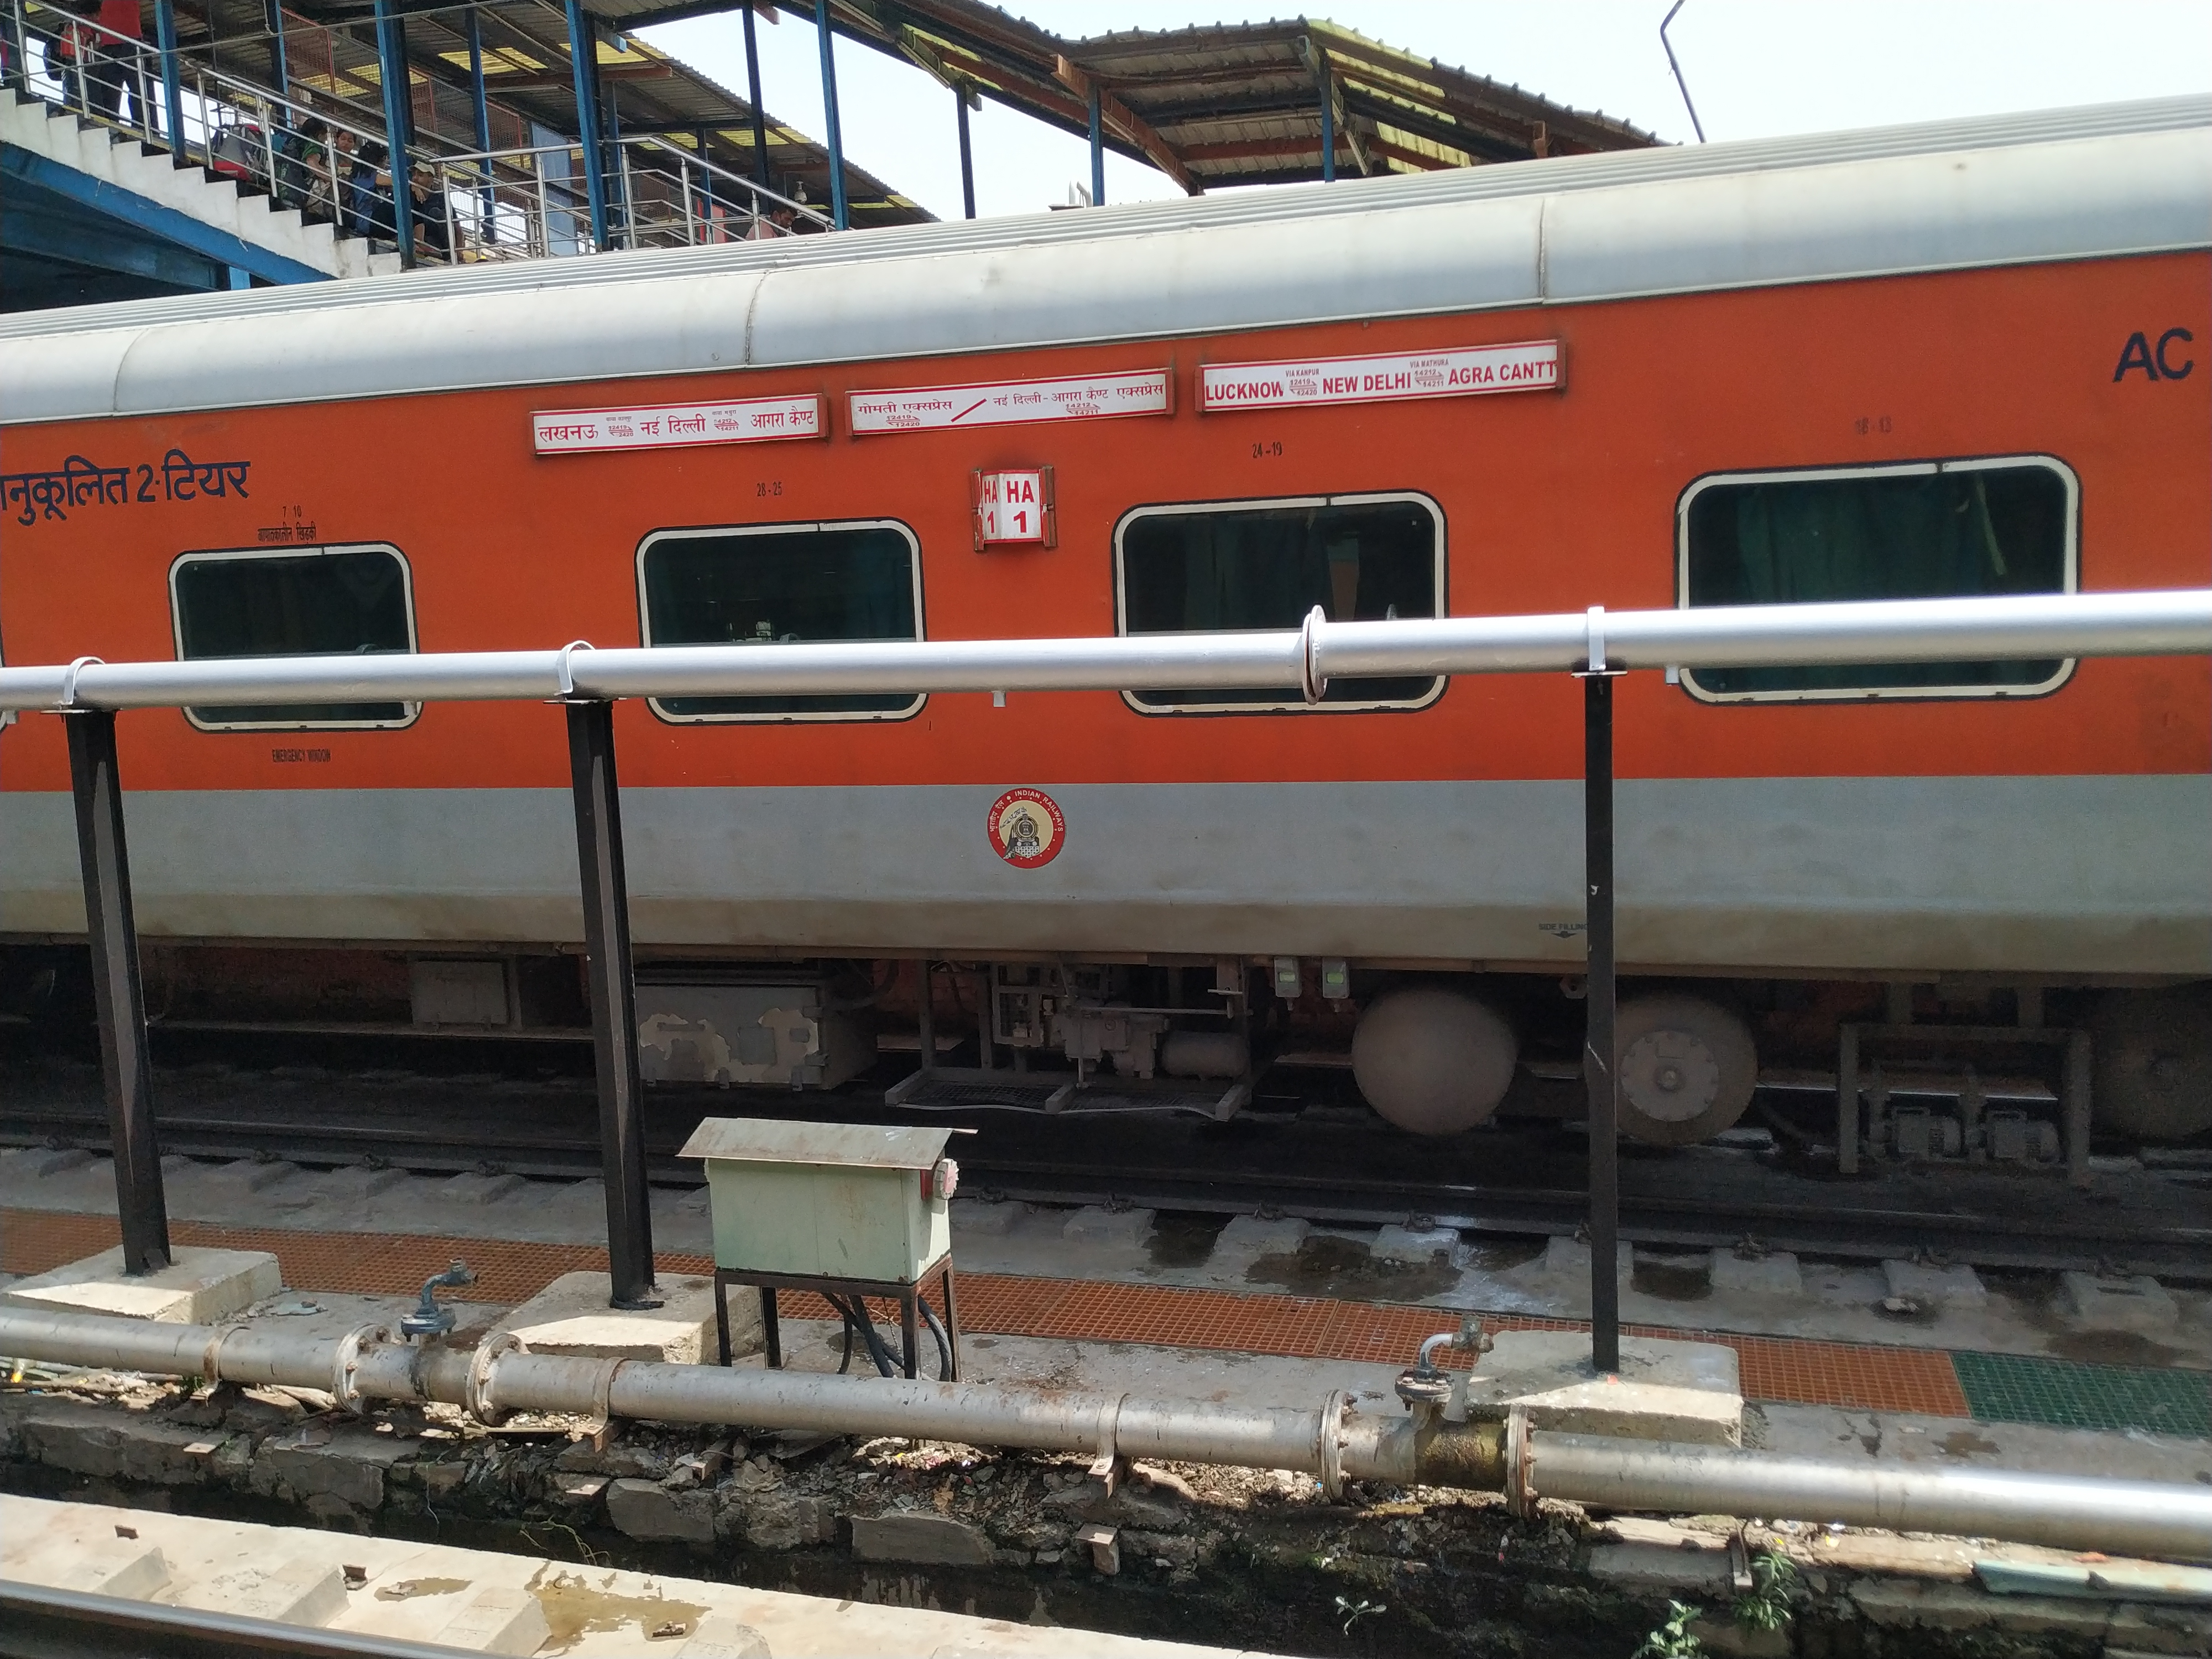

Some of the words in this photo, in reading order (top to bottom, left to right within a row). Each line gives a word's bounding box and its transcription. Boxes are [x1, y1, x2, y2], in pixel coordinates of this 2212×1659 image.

[538, 421, 601, 446] लखनऊ
[604, 413, 618, 424] वाया
[615, 413, 634, 424] कानपुर
[640, 413, 662, 440] नई
[664, 411, 707, 437] दिल्ली
[709, 409, 724, 418] वाया
[723, 406, 739, 419] मथुरा
[750, 410, 786, 433] आगरा
[785, 400, 815, 430] कैण्ट
[855, 398, 899, 416] गोमती
[884, 414, 922, 430] 12410
[899, 395, 954, 413] एक्सप्रेस
[990, 390, 1011, 409] नई
[1008, 388, 1043, 405] दिल्ली
[1049, 389, 1083, 405] आगरा
[1061, 399, 1100, 420] 14212
[1083, 380, 1112, 401] कैण्ट
[1115, 376, 1166, 402] एक्सप्रेस
[1203, 379, 1290, 401] LUCKNOW
[1285, 368, 1322, 379] VIAKANPUR
[1287, 374, 1320, 399] 1241912420
[1320, 375, 1360, 397] NEW
[1362, 371, 1413, 395] DELHI
[1407, 358, 1452, 369] VIAMATHURA
[1448, 365, 1498, 389] AGRA
[1498, 356, 1559, 385] CANTT
[2103, 318, 2197, 394] AC
[133, 445, 253, 508] 2.टियर
[2, 451, 132, 531] नुकूलित
[1005, 477, 1036, 504] HA
[255, 518, 295, 546] आपातकालीन
[291, 518, 319, 546] खिड़की